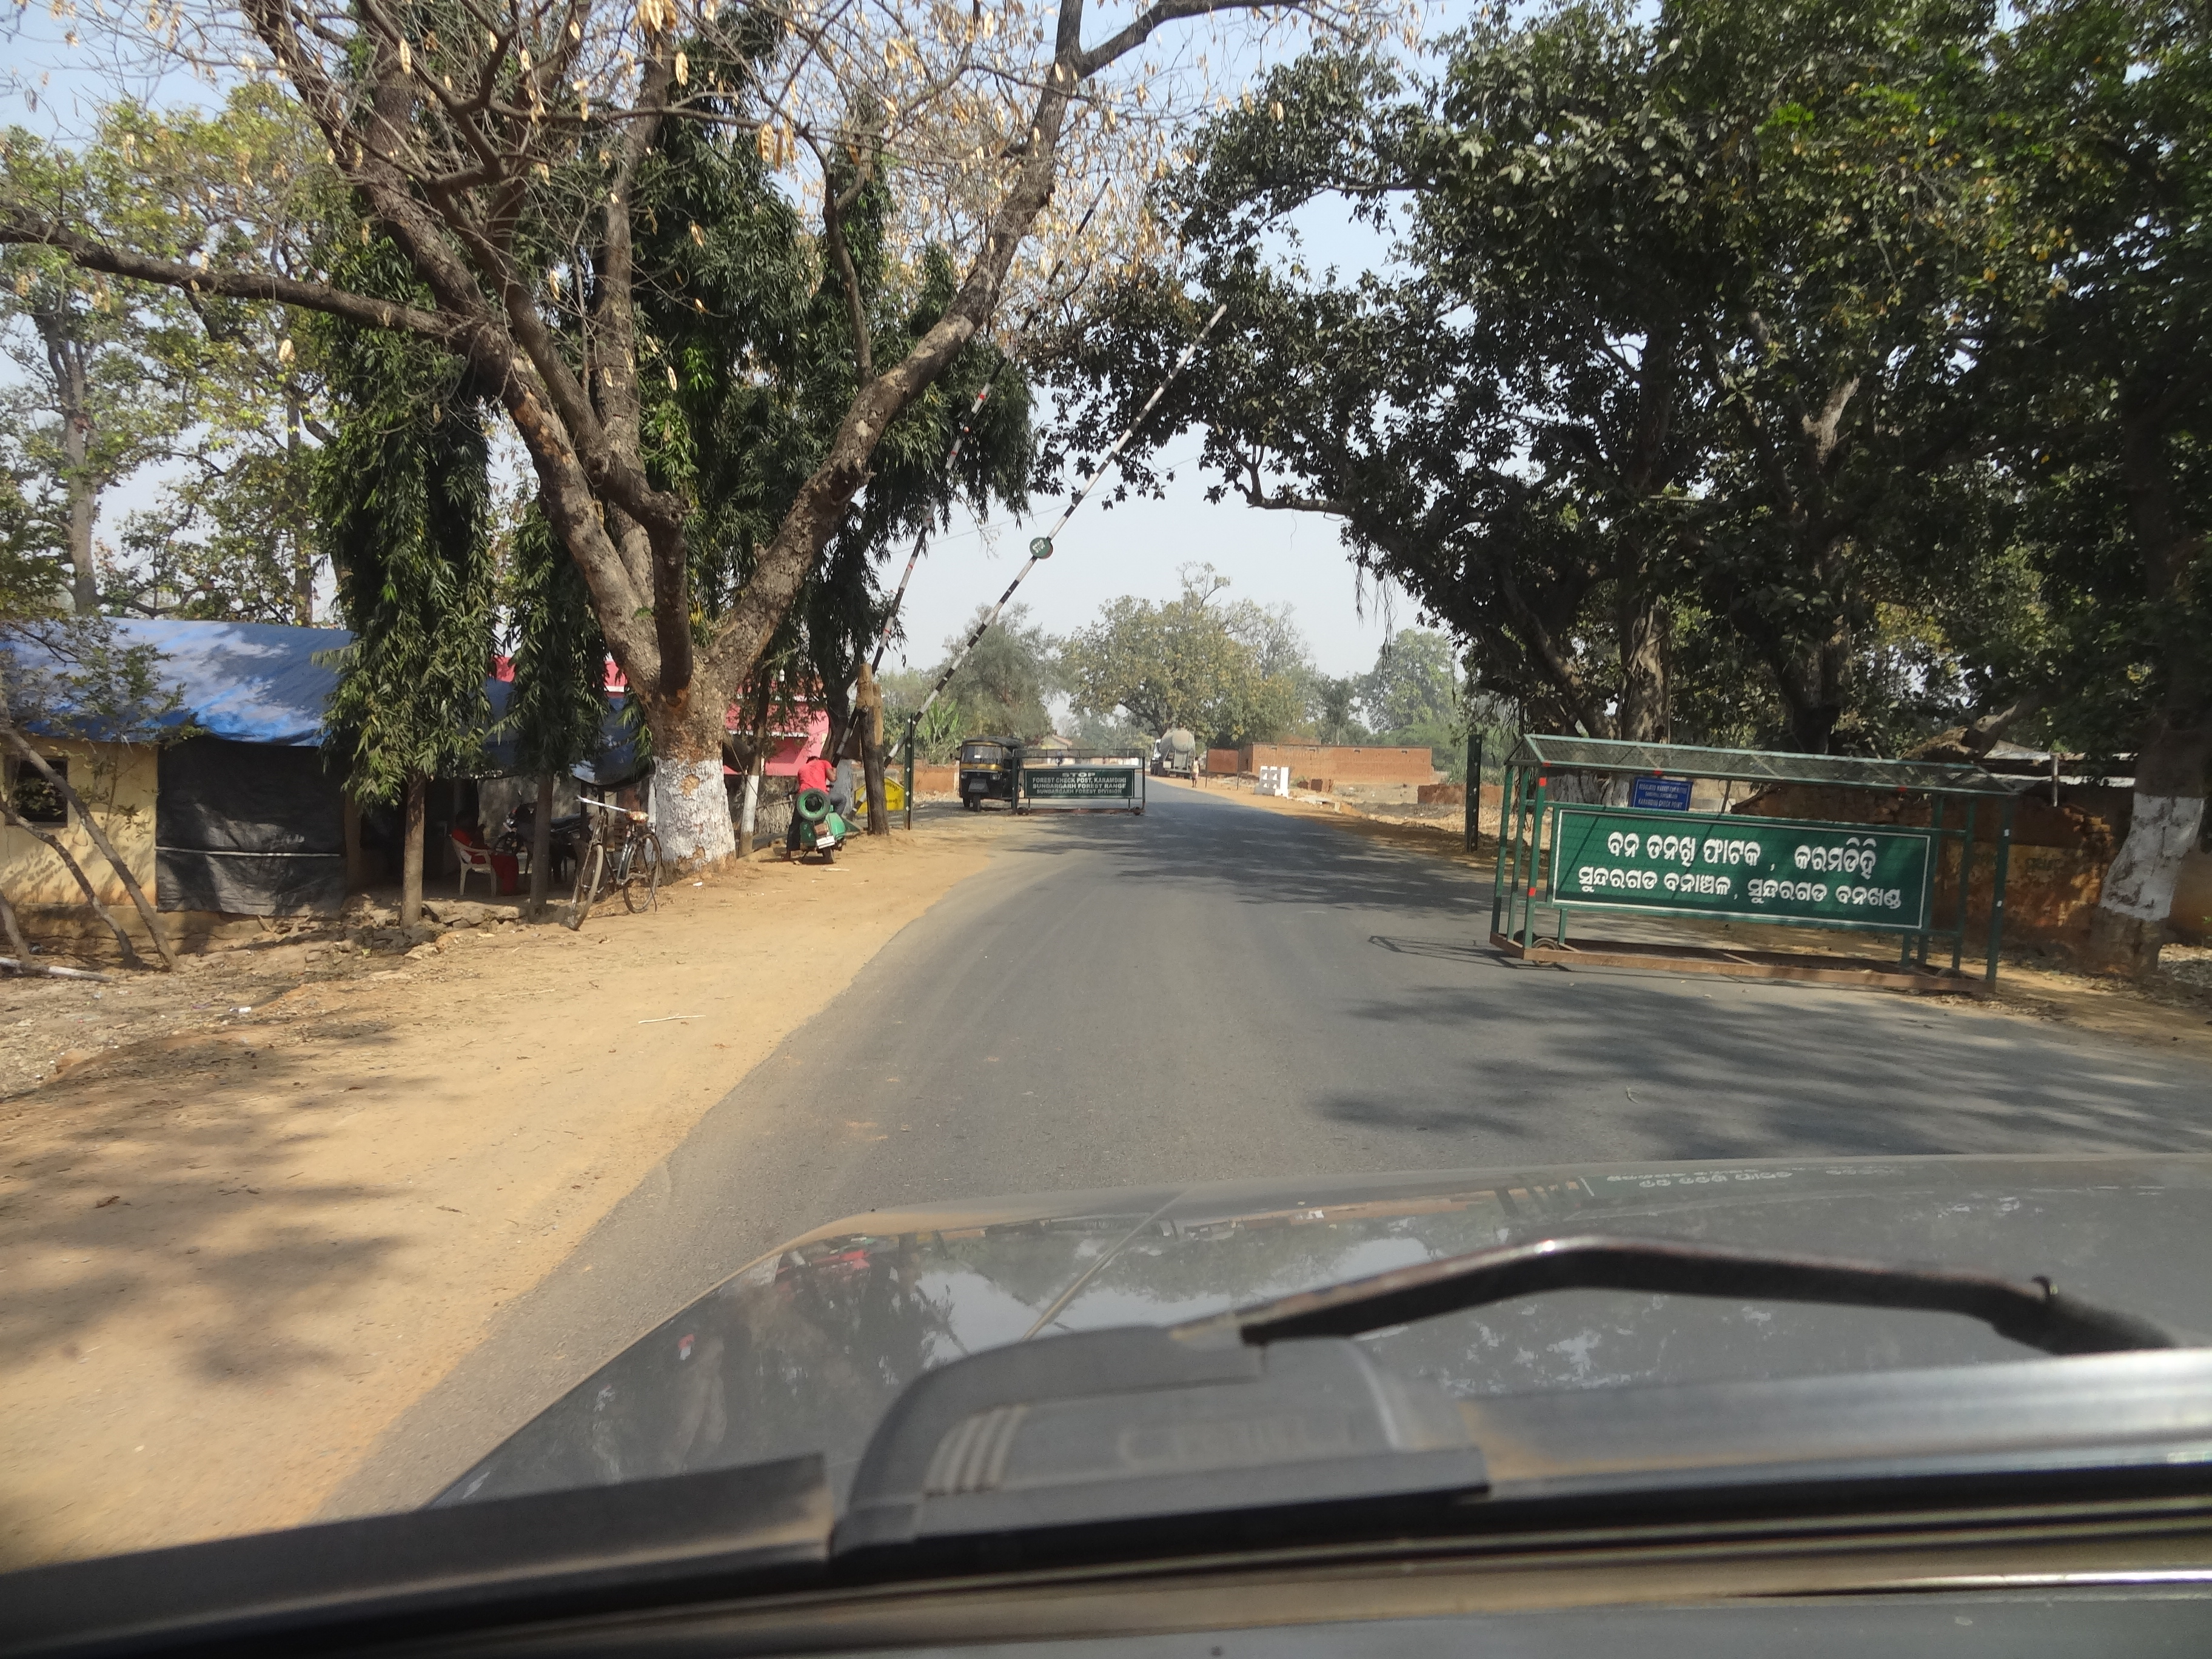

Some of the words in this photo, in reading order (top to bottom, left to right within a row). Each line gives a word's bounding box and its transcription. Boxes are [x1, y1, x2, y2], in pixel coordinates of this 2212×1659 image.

[1031, 774, 1057, 786] FOREST
[1030, 780, 1079, 791] BUNDARGARH
[1034, 786, 1076, 797] SUNDARGARH
[1053, 774, 1079, 785] CHECK
[1061, 769, 1097, 780] STOP
[1074, 775, 1094, 785] POST,
[1073, 786, 1097, 797] FOREST
[1077, 781, 1104, 792] FOREST
[1091, 774, 1128, 785] KARAMDIHI
[1095, 786, 1124, 797] DIVISION
[1102, 780, 1128, 790] RANGE
[1603, 825, 1643, 861] ବନ
[1643, 829, 1698, 871] ତନଖି
[1701, 833, 1764, 868] ଫାଟକ
[1791, 831, 1882, 884] କରମତିହି
[1574, 863, 1660, 895] ସୁନ୍ଦରଗତ
[1660, 868, 1733, 896] ବନାଞ୍ଚଳ
[1747, 876, 1832, 908] ସୁନ୍ଦରଗତ
[1831, 884, 1906, 913] ବନଖଣ୍ଡ